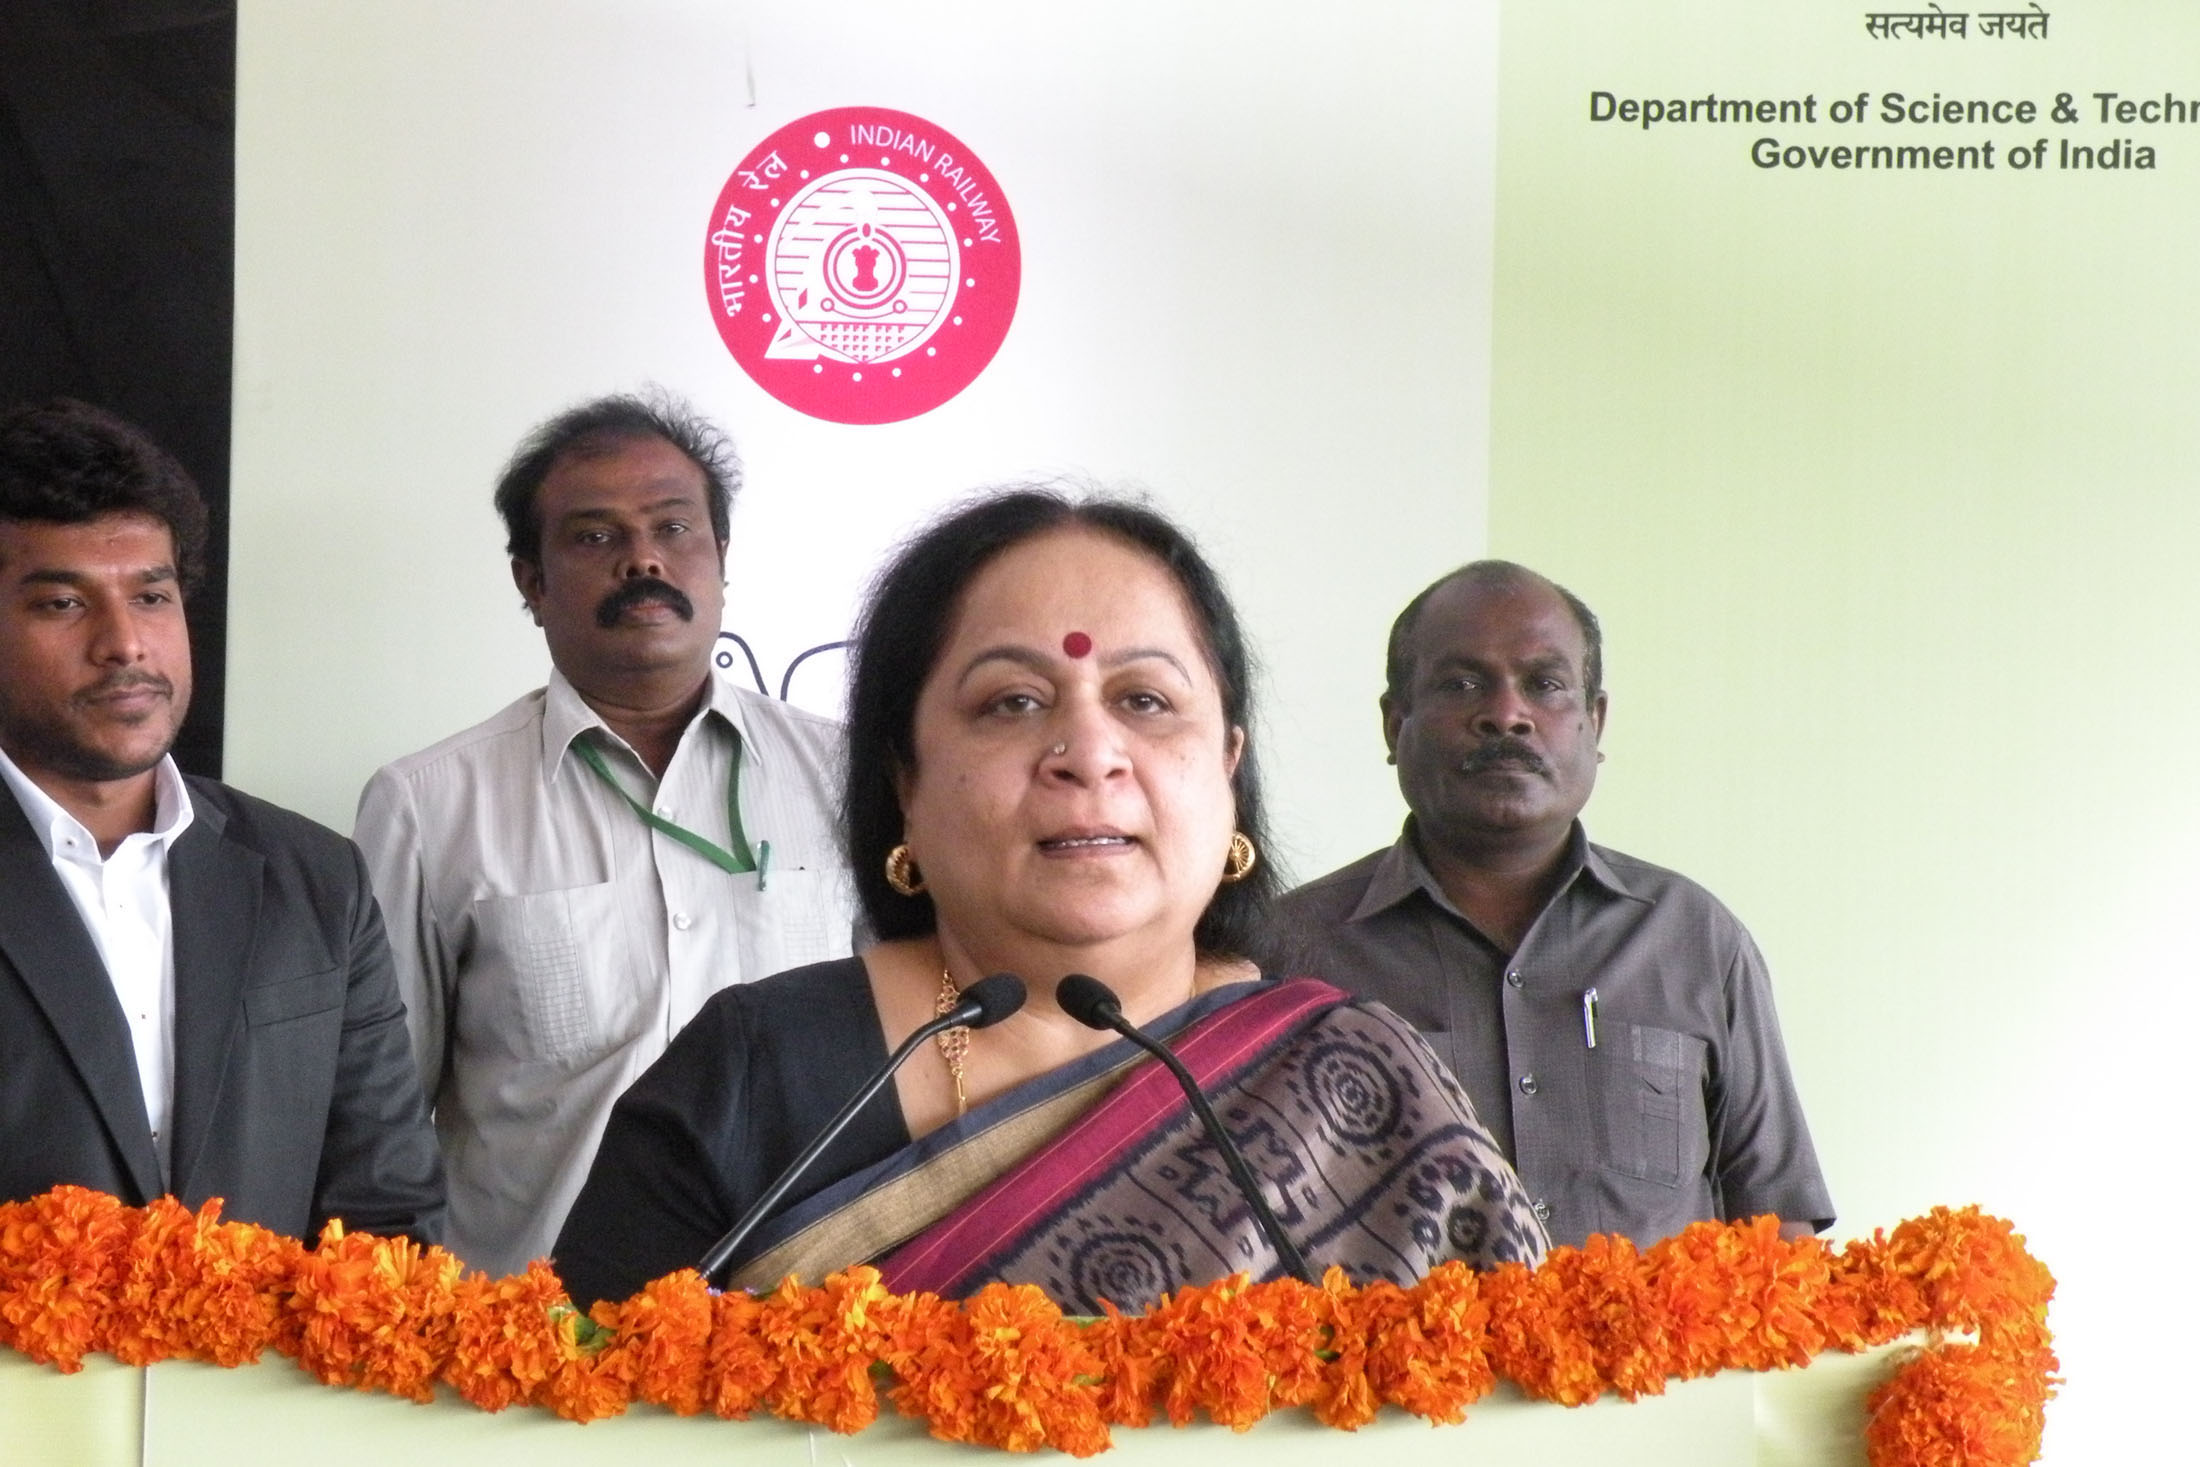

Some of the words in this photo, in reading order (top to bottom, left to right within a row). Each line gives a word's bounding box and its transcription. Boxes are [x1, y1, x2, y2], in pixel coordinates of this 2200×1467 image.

[1865, 0, 1970, 45] सत्यमेव
[1973, 0, 2054, 45] जयते
[1588, 87, 1821, 135] Department
[1825, 84, 1873, 130] of
[1873, 87, 2039, 131] Science
[2046, 84, 2083, 128] &
[2089, 89, 2199, 127] Techr
[734, 146, 792, 200] रेल
[847, 121, 941, 166] INDIAN
[1745, 134, 1997, 175] Government
[2000, 133, 2052, 174] of
[2058, 131, 2159, 173] India
[930, 149, 1006, 251] RAILWAY
[707, 198, 753, 323] भारतीय